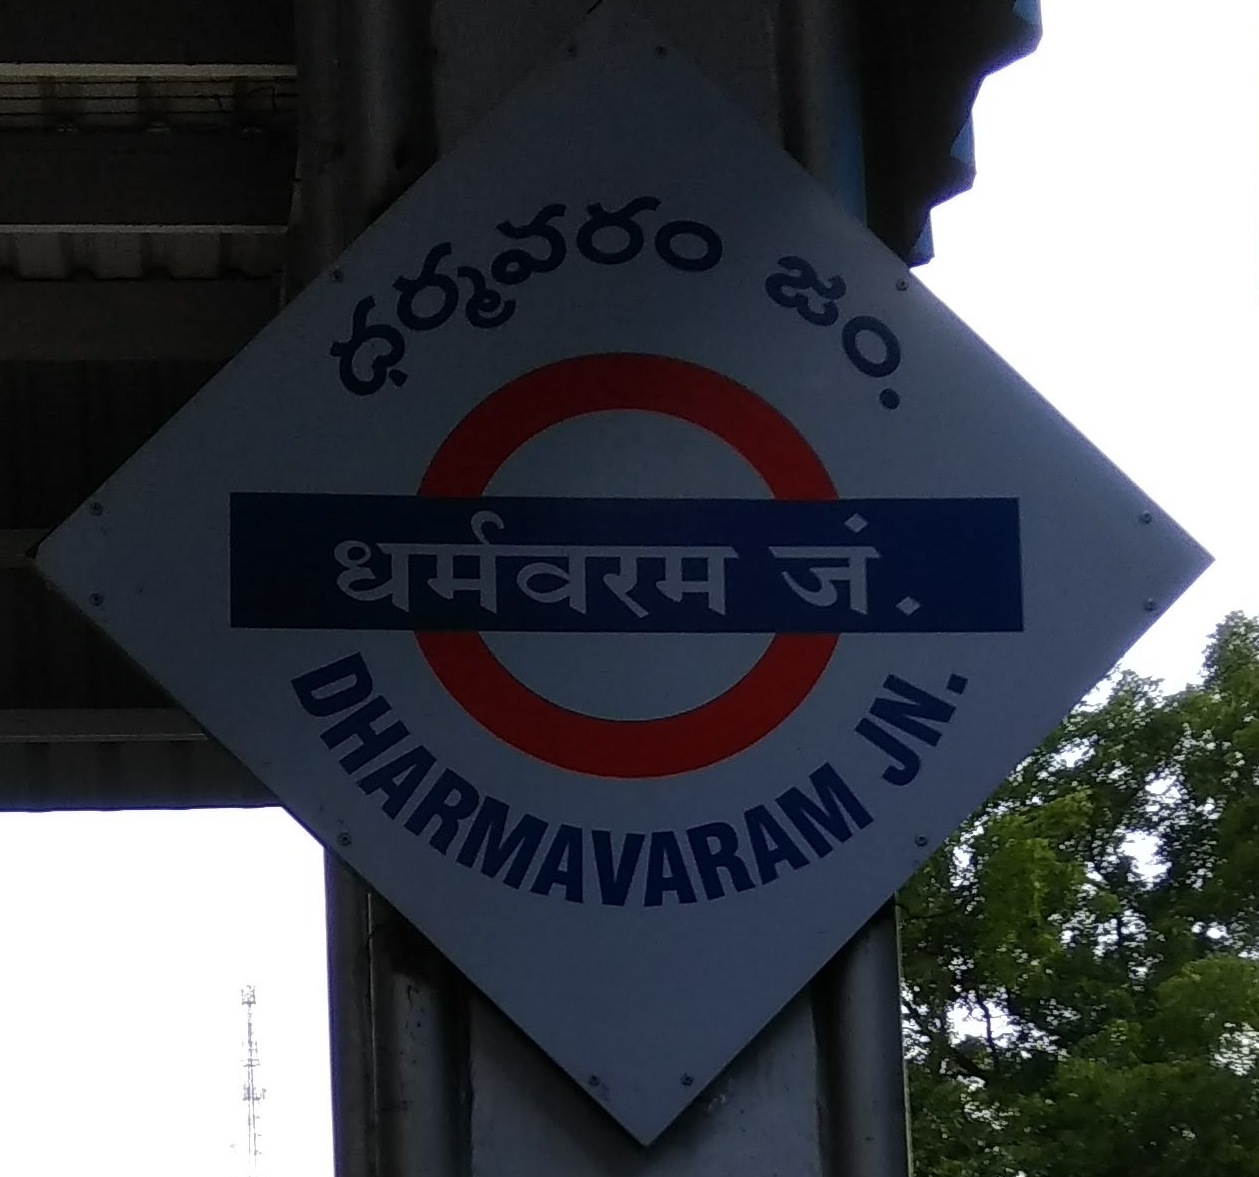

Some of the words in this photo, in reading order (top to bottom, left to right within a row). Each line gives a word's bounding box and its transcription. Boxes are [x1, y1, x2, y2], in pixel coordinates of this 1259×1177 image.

[310, 185, 729, 411] ధర్మవరం
[752, 251, 910, 420] జం.
[321, 501, 735, 624] धर्मवरम
[767, 507, 888, 622] जं
[274, 640, 884, 910] DHARMAVARAM
[847, 666, 977, 795] JN.